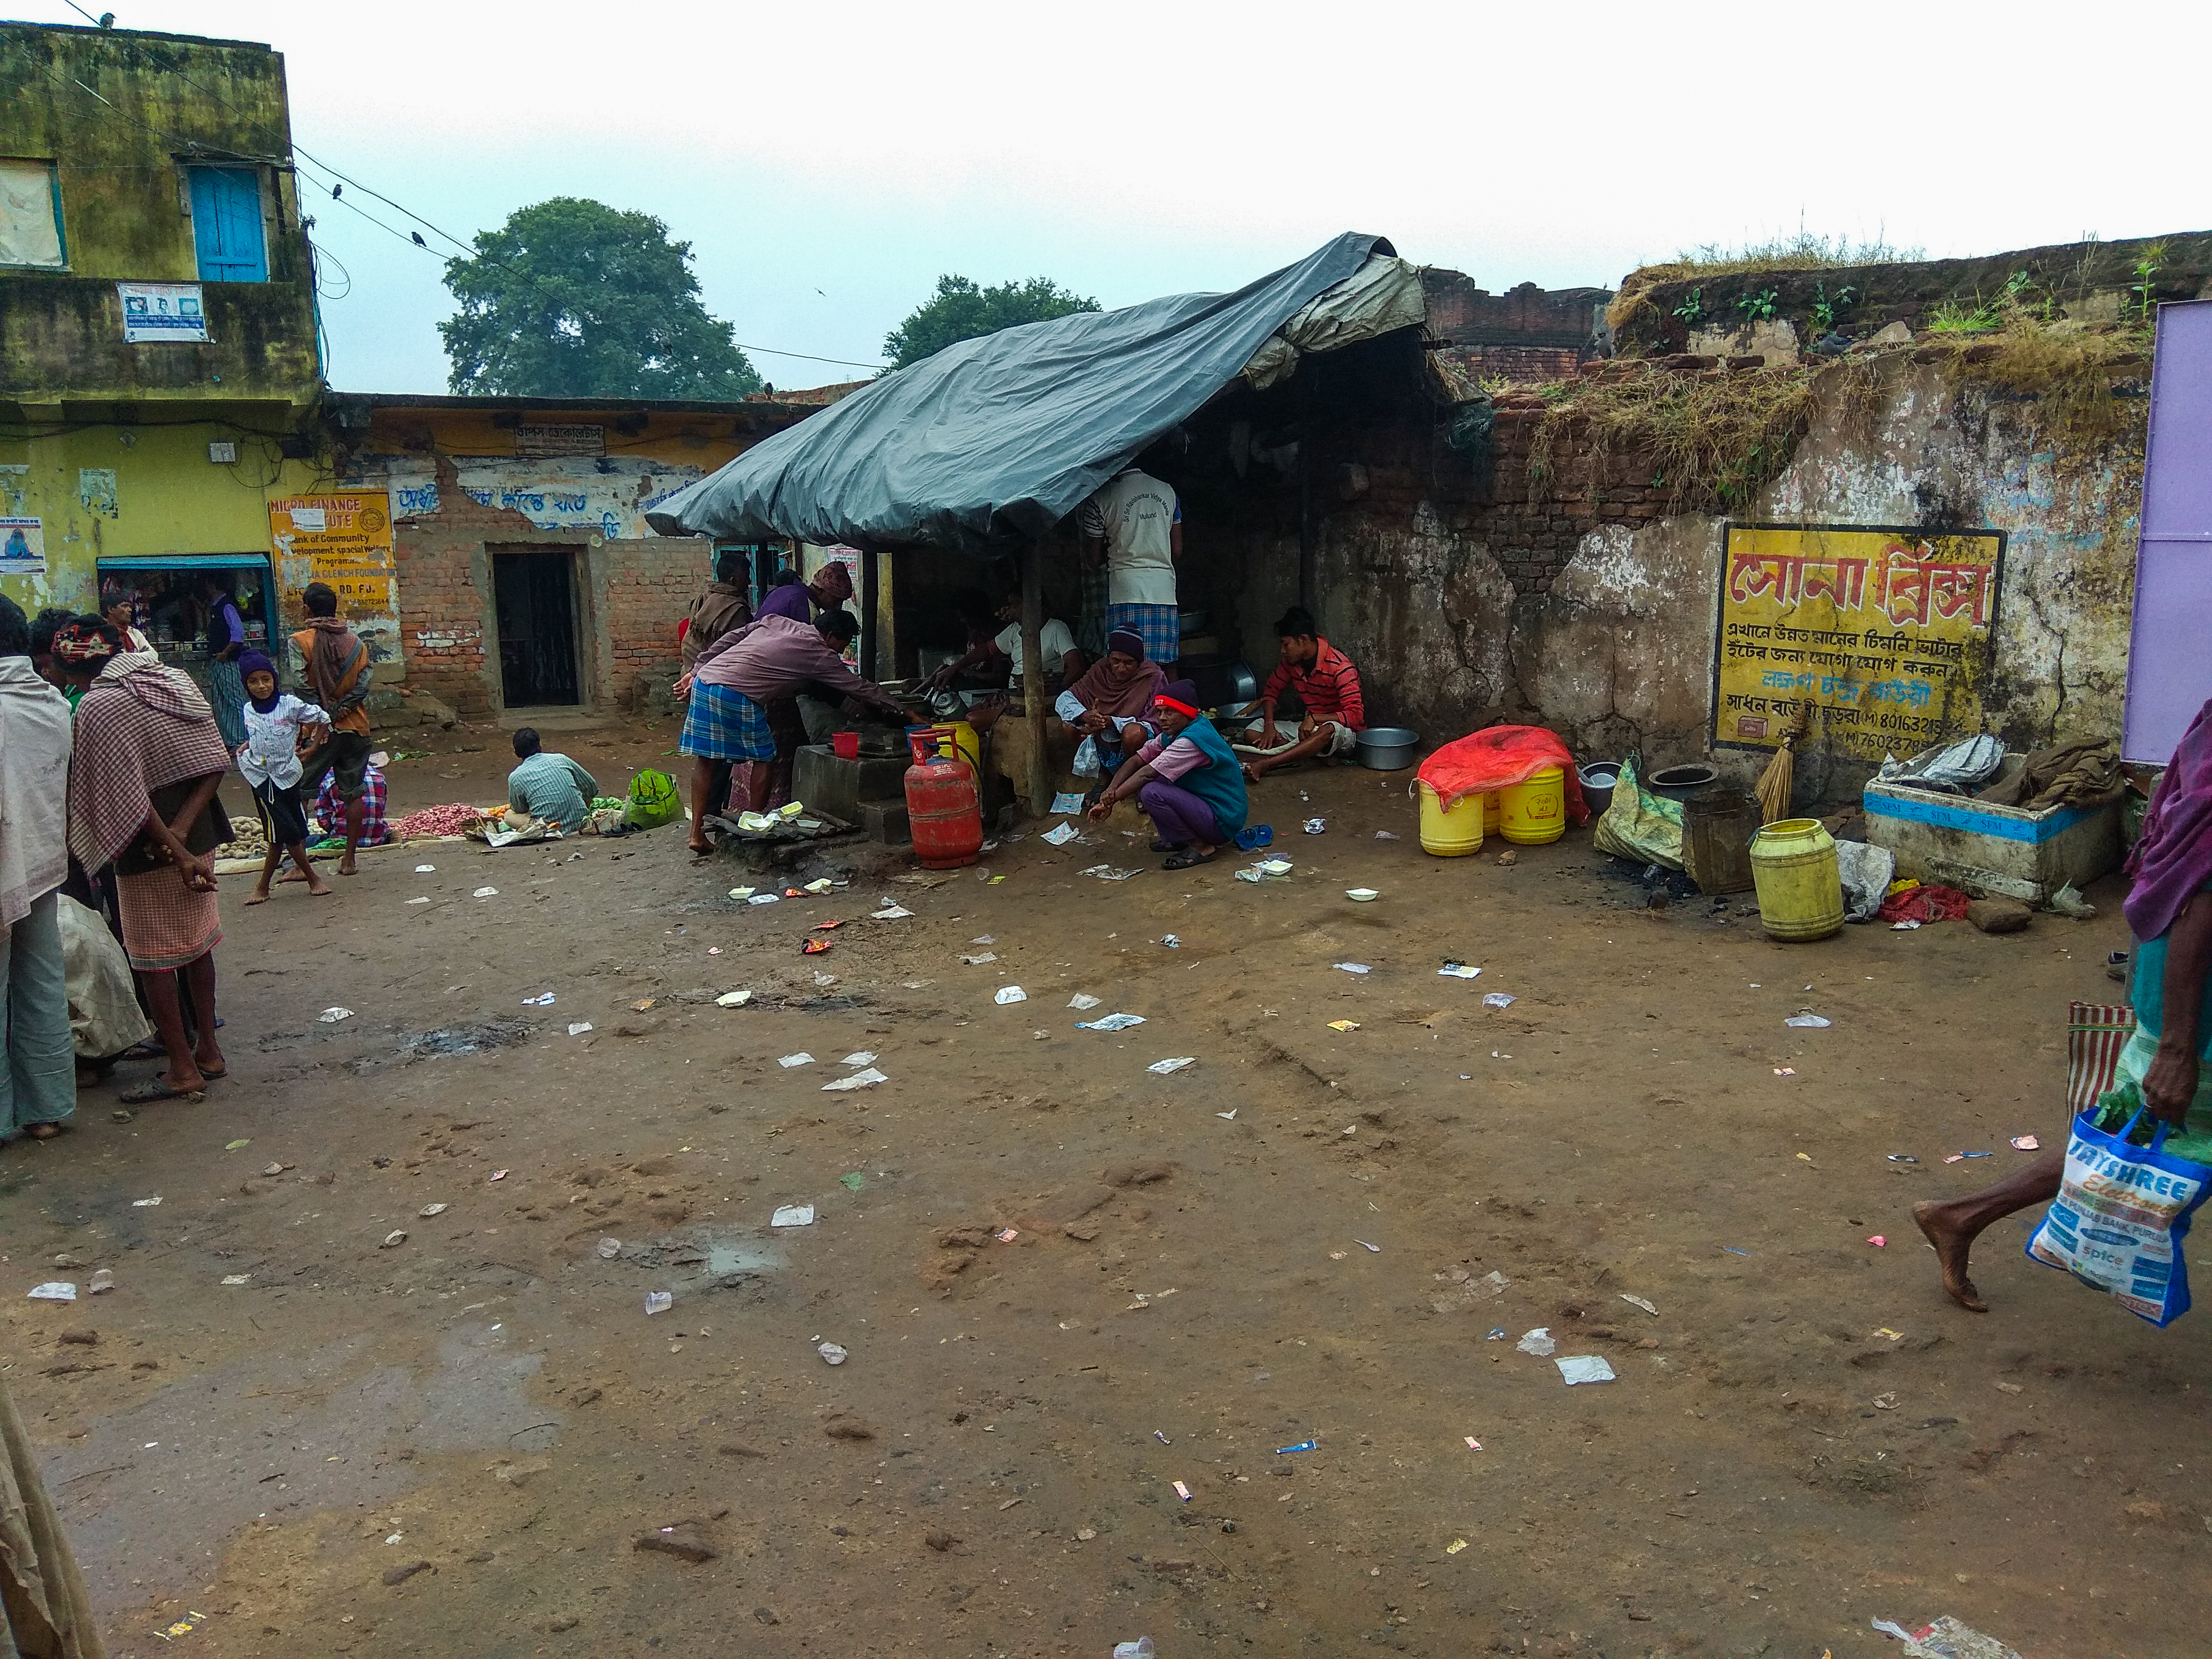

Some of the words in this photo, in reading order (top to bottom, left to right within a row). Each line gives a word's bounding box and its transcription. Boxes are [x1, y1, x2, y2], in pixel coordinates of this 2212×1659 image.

[510, 416, 547, 438] তাপস
[546, 420, 604, 441] ডেকোরেটার্স
[310, 495, 362, 514] FINANCE
[306, 533, 322, 546] of
[319, 530, 371, 544] Community
[333, 543, 366, 555] spacial
[1722, 546, 1872, 614] সোনা
[1870, 535, 1995, 631] ব্রিক্স
[1720, 614, 1773, 644] এখানে
[1726, 635, 1771, 663] ইঁটের
[1766, 645, 1808, 670] জন্য
[1770, 617, 1812, 644] উন্নত
[1807, 647, 1857, 671] যোগা
[1809, 625, 1862, 650] মানের
[1853, 650, 1900, 674] মোগ
[1858, 623, 1916, 656] চিমনি
[1900, 651, 1953, 680] করুন
[1914, 632, 1967, 663] ভাটার
[1722, 691, 1771, 716] সাধন
[1760, 667, 1817, 696] লক্ষণ
[1769, 693, 1823, 721] বাউ
[1817, 702, 1863, 730] চূড়রা
[1817, 674, 1864, 707] চন্দ্র
[2058, 1135, 2191, 1209] JAYSHREE
[2079, 1169, 2184, 1221] Electronic